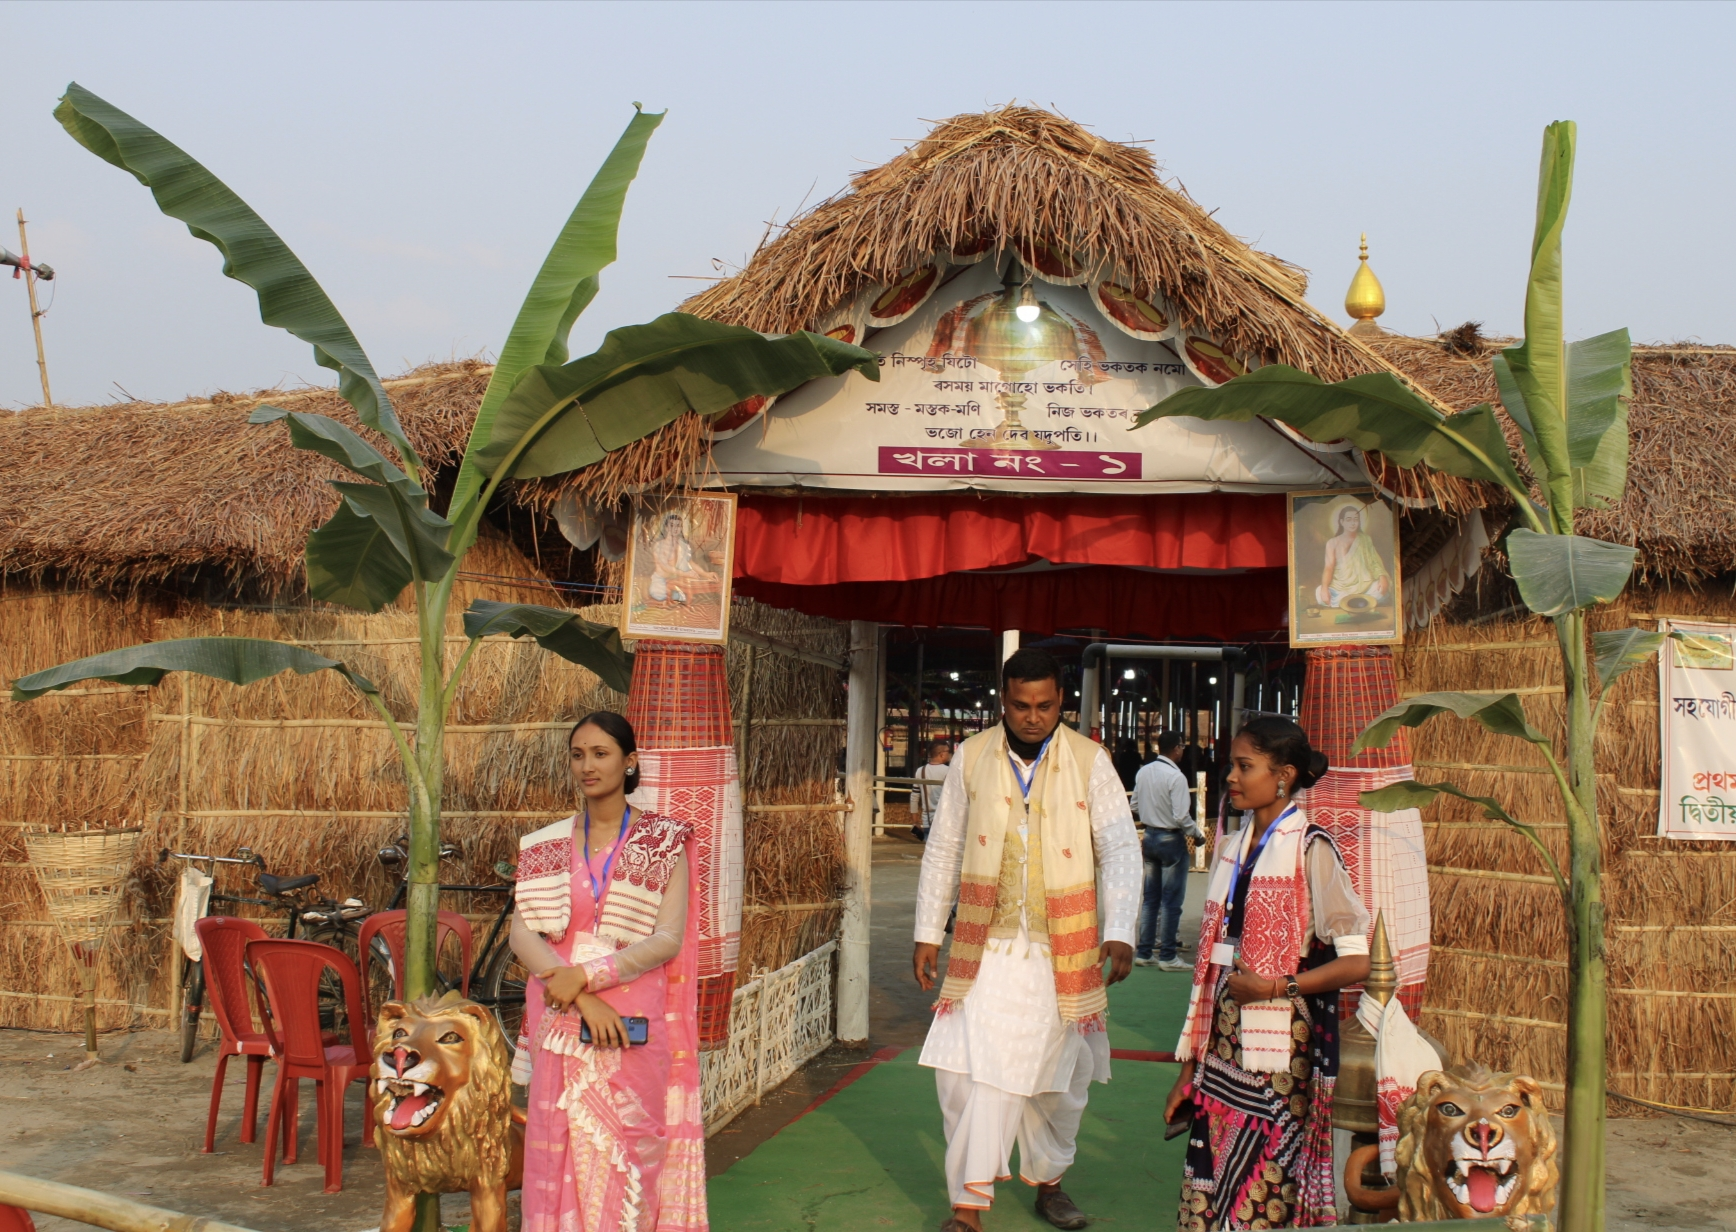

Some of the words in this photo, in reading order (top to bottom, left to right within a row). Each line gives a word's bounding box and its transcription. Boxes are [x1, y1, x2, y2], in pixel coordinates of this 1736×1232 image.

[881, 342, 942, 374] নিস্পূহ
[937, 343, 986, 374] যিটো
[1052, 344, 1099, 376] সেহি
[1094, 349, 1153, 381] ভকতক
[1151, 350, 1192, 386] নমো
[926, 370, 978, 400] ৰসময়
[976, 375, 1042, 397] মাগোহো
[1037, 374, 1096, 401] ভকতি
[861, 397, 903, 420] সমস্ত
[909, 398, 981, 420] মস্তক৲মণি
[1037, 395, 1079, 423] নিজ
[1080, 401, 1135, 426] ভকতৰ
[919, 419, 970, 444] ভজো
[967, 419, 1003, 447] হেন
[1003, 425, 1100, 447] দব্যদুপতি৷৷
[884, 440, 979, 476] খলা
[982, 449, 1053, 476] নং
[1669, 685, 1735, 727] সহযোগী
[1687, 765, 1734, 795] প্ৰথম
[1673, 784, 1735, 829] দ্বিতীয়